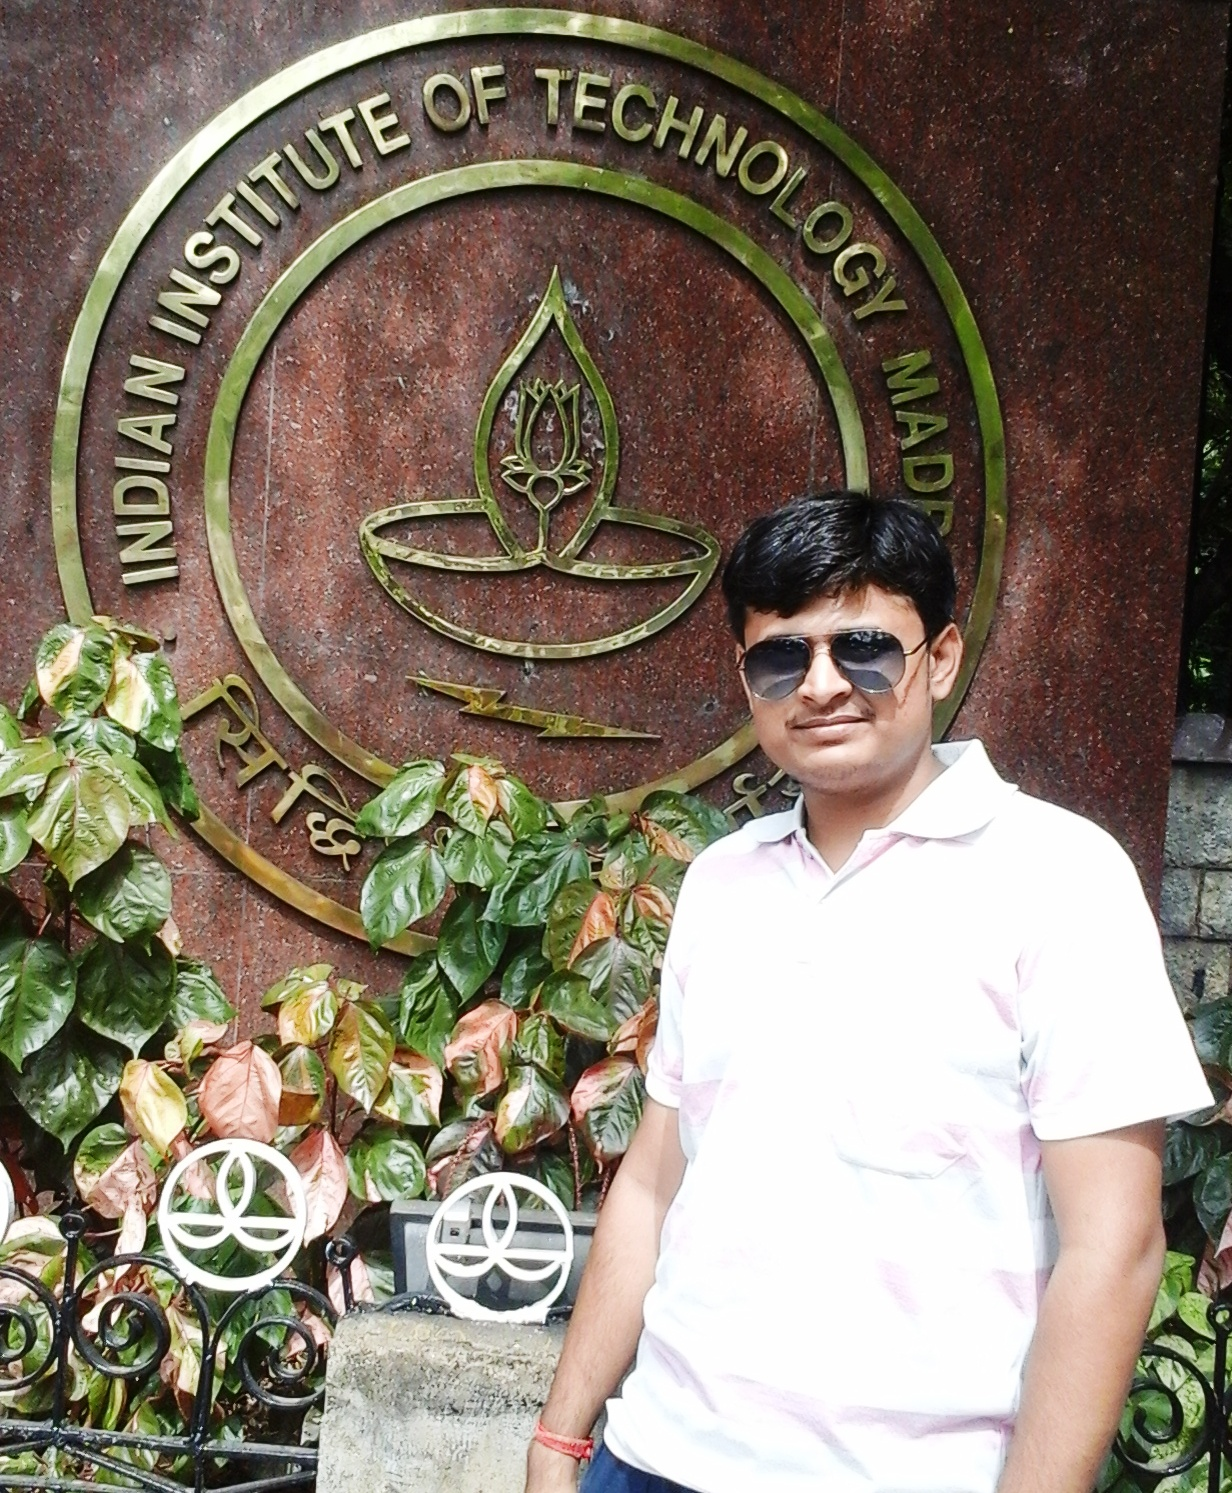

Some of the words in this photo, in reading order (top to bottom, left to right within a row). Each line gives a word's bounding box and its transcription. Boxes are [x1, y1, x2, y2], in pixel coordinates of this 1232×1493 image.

[140, 83, 416, 350] INSTITUTE
[408, 53, 512, 143] OF
[532, 65, 811, 234] TECHNOL
[796, 194, 916, 331] OGY
[109, 345, 189, 590] INDIAN
[875, 340, 959, 549] MADE
[171, 668, 372, 875] सिद्वि